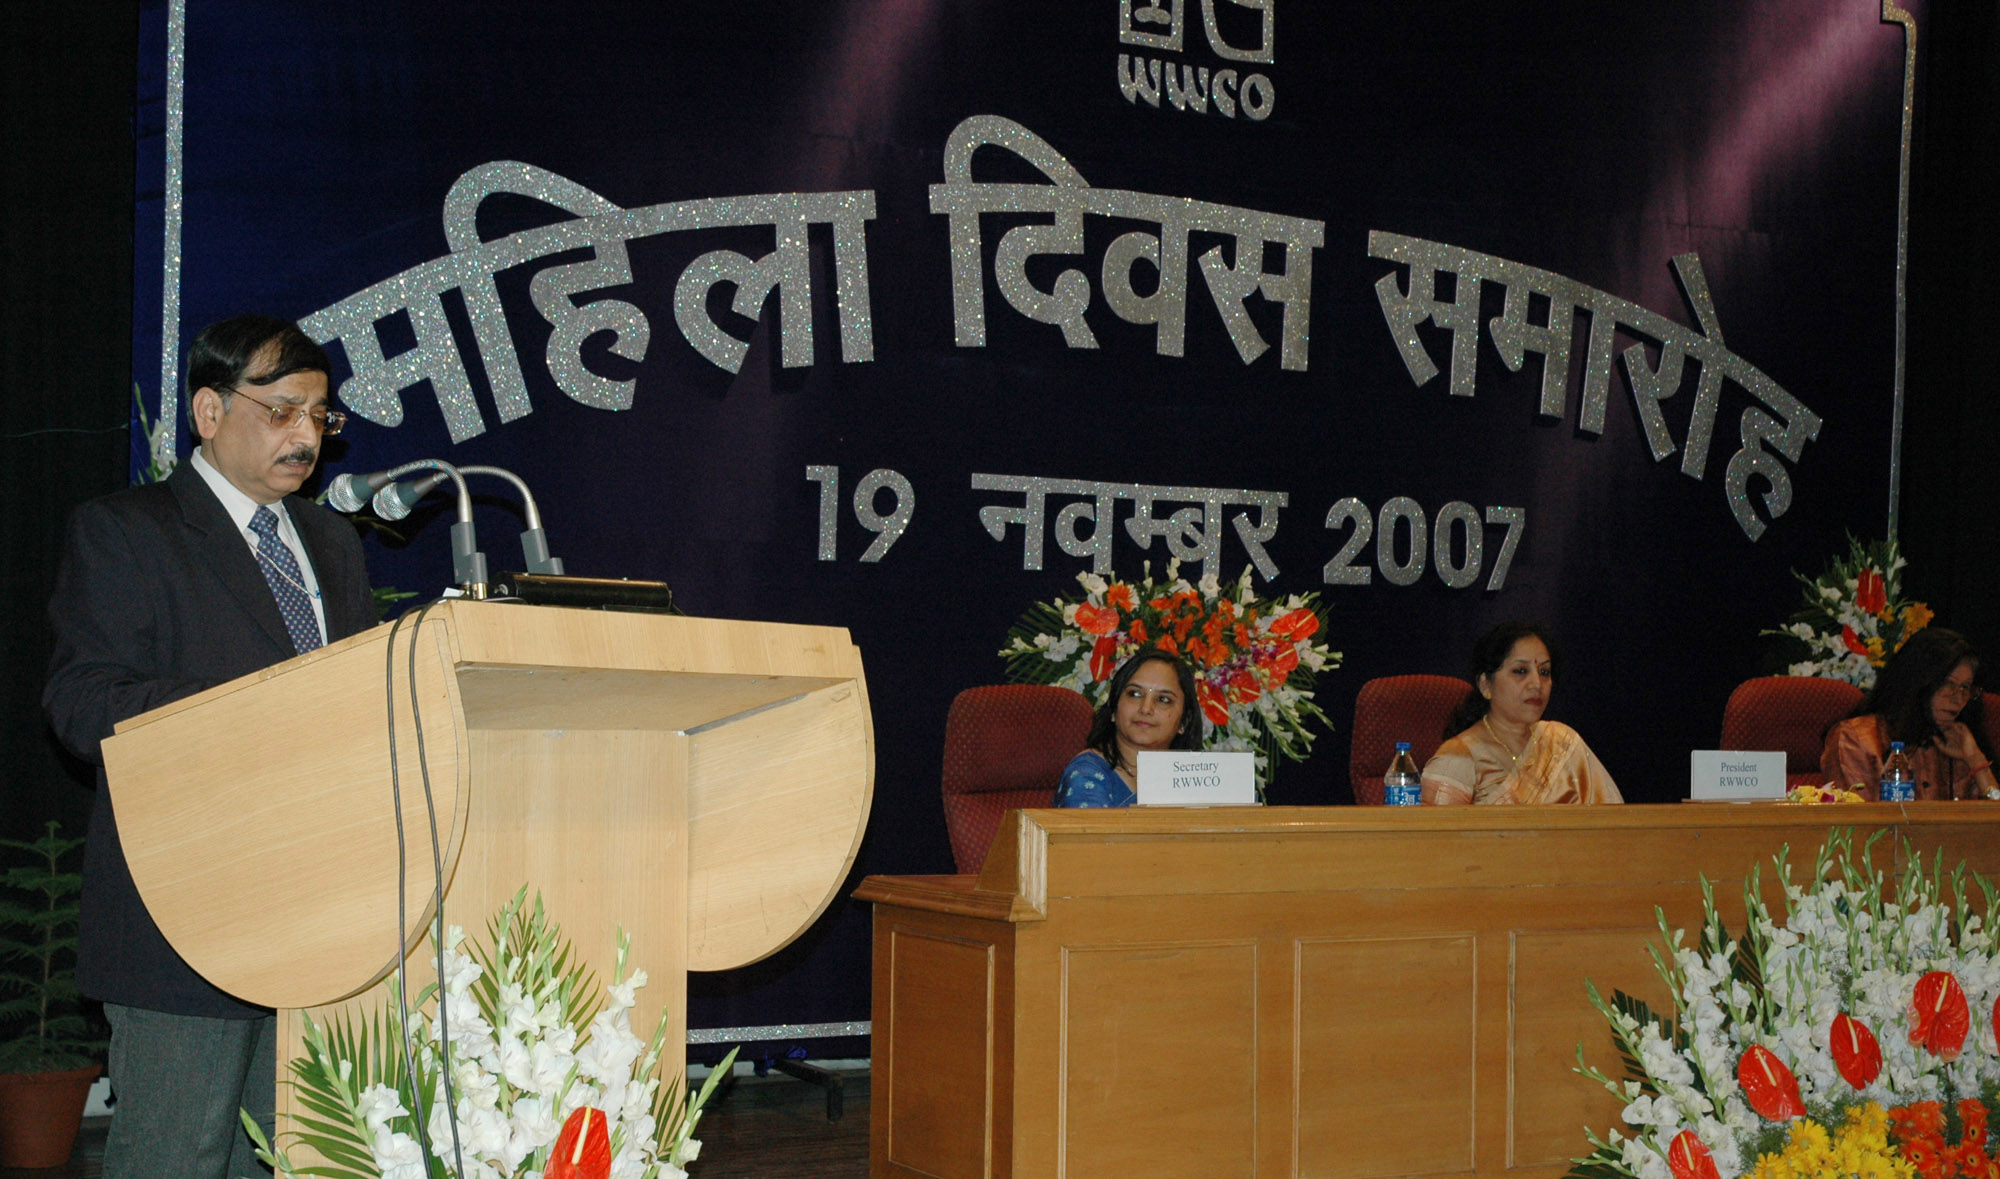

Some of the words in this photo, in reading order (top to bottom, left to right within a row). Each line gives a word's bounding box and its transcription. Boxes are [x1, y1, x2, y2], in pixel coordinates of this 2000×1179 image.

[1117, 51, 1273, 127] wwco
[288, 158, 884, 451] महिला
[924, 107, 1331, 379] दिवस
[1367, 223, 1828, 549] समारोह
[795, 445, 930, 578] 19
[972, 467, 1297, 589] नवम्बर
[1318, 488, 1533, 594] 2007